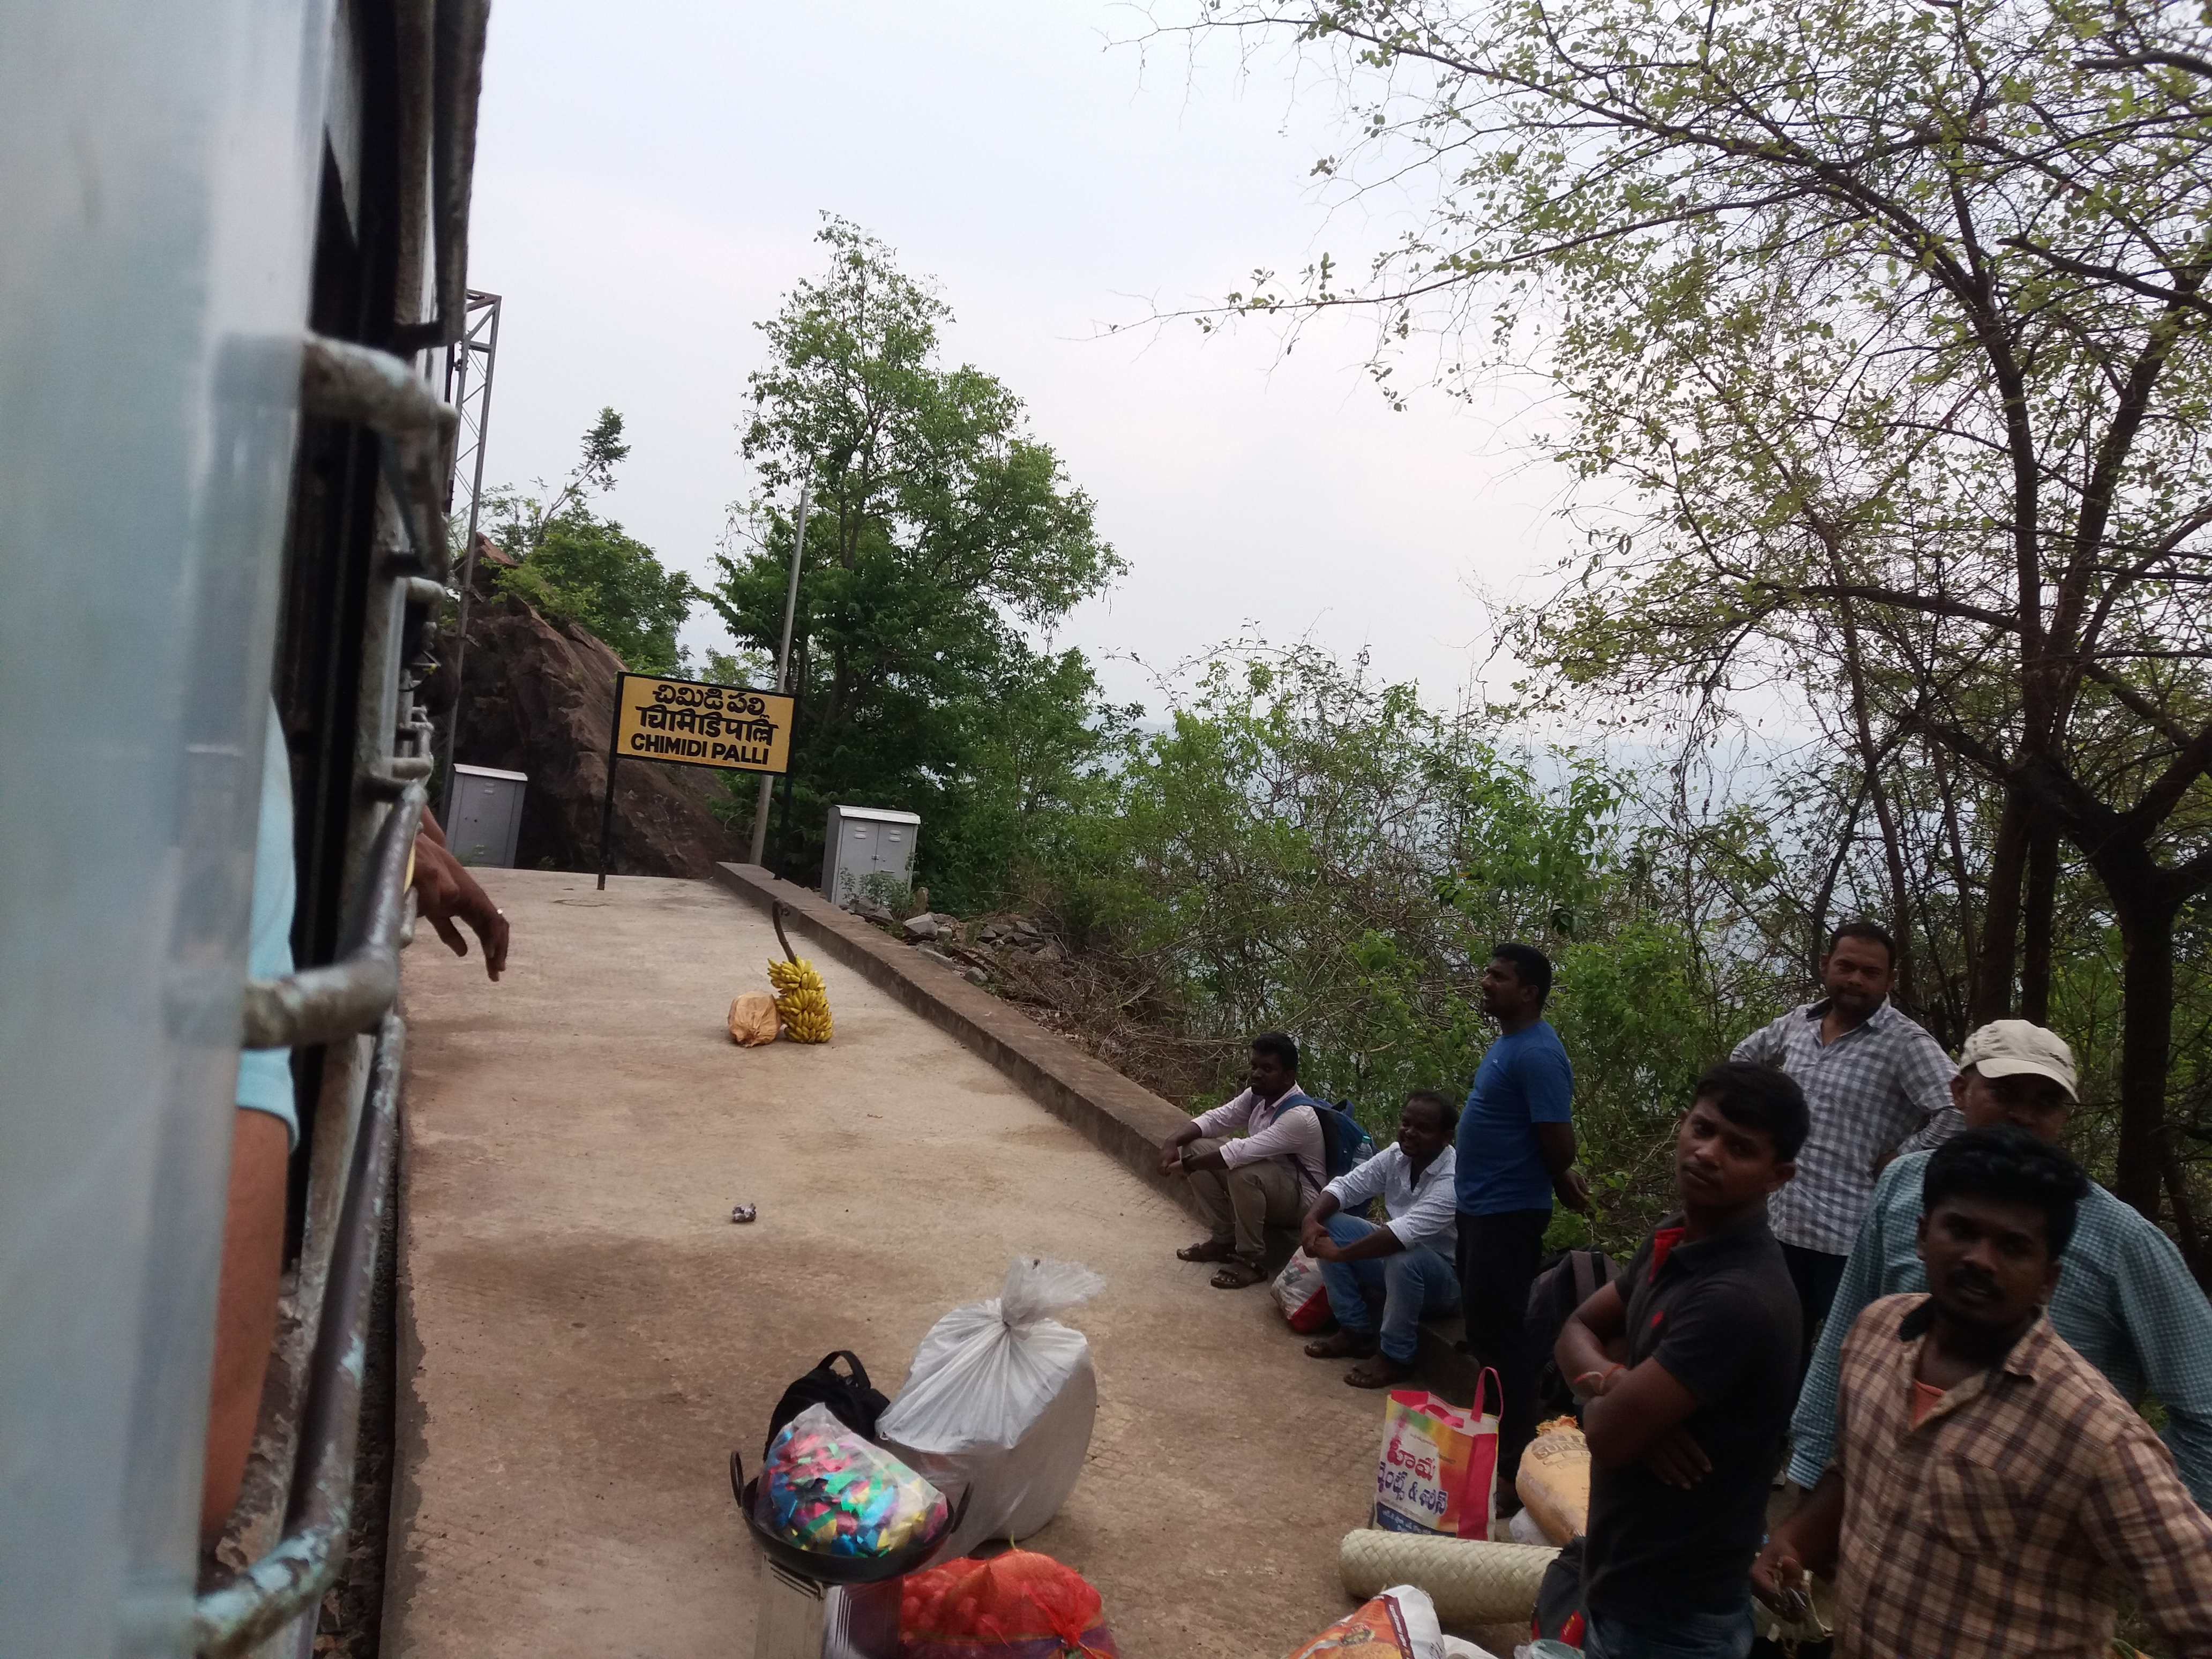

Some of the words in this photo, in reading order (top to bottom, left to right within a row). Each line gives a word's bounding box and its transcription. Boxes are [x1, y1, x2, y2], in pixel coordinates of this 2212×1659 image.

[649, 679, 768, 719] చిమిడిపలి
[629, 729, 709, 758] CHIMIDI
[633, 701, 780, 749] चिमिडिपल्लि
[711, 741, 771, 767] PALLI